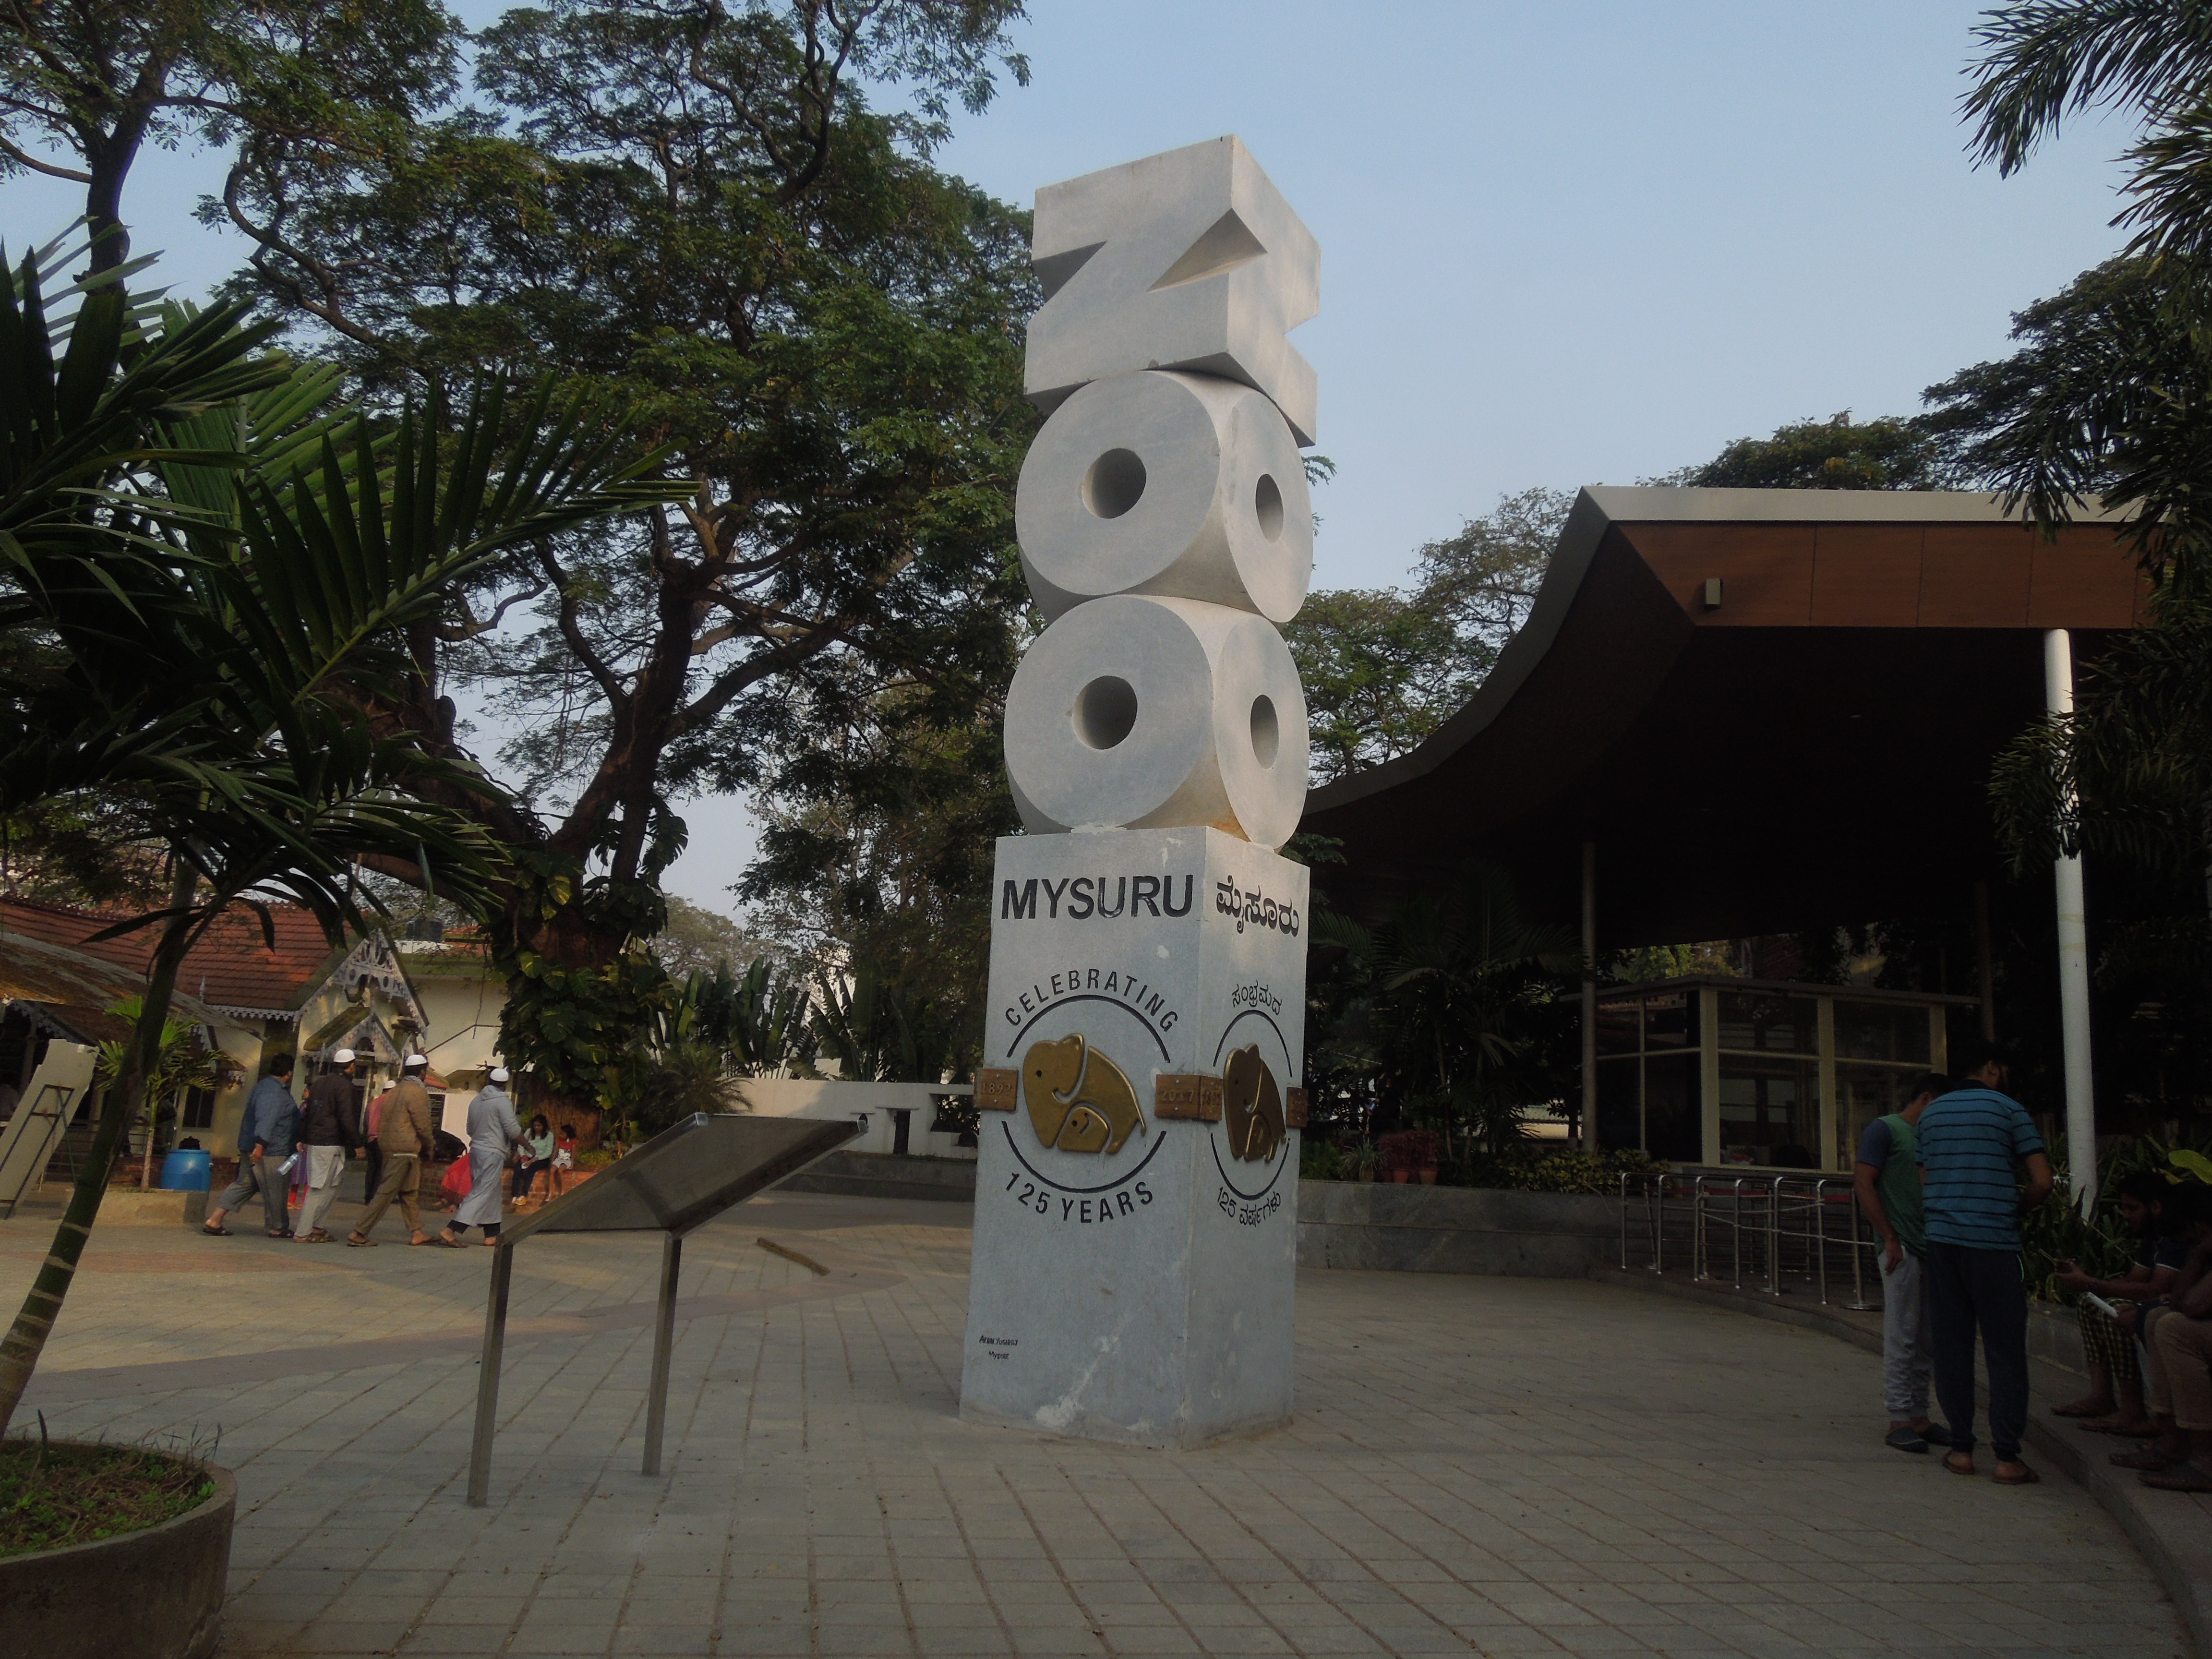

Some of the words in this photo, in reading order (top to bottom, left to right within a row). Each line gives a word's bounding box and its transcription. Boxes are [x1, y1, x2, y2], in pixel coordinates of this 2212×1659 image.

[1000, 873, 1196, 921] MYSURU
[1209, 872, 1307, 942] ಮೈಸೂರು
[1003, 965, 1180, 1034] CELEBRATING
[1229, 976, 1284, 1019] ಸಂಭ್ರಮದ
[999, 1167, 1057, 1222] 125
[1060, 1177, 1156, 1226] YEARS
[1212, 1184, 1239, 1222] 125
[1236, 1188, 1284, 1229] ವರ್ಷಗಳು
[976, 1333, 997, 1348] Arua
[986, 1350, 1012, 1361] MyscRE
[993, 1335, 1020, 1348] YOGIRAT